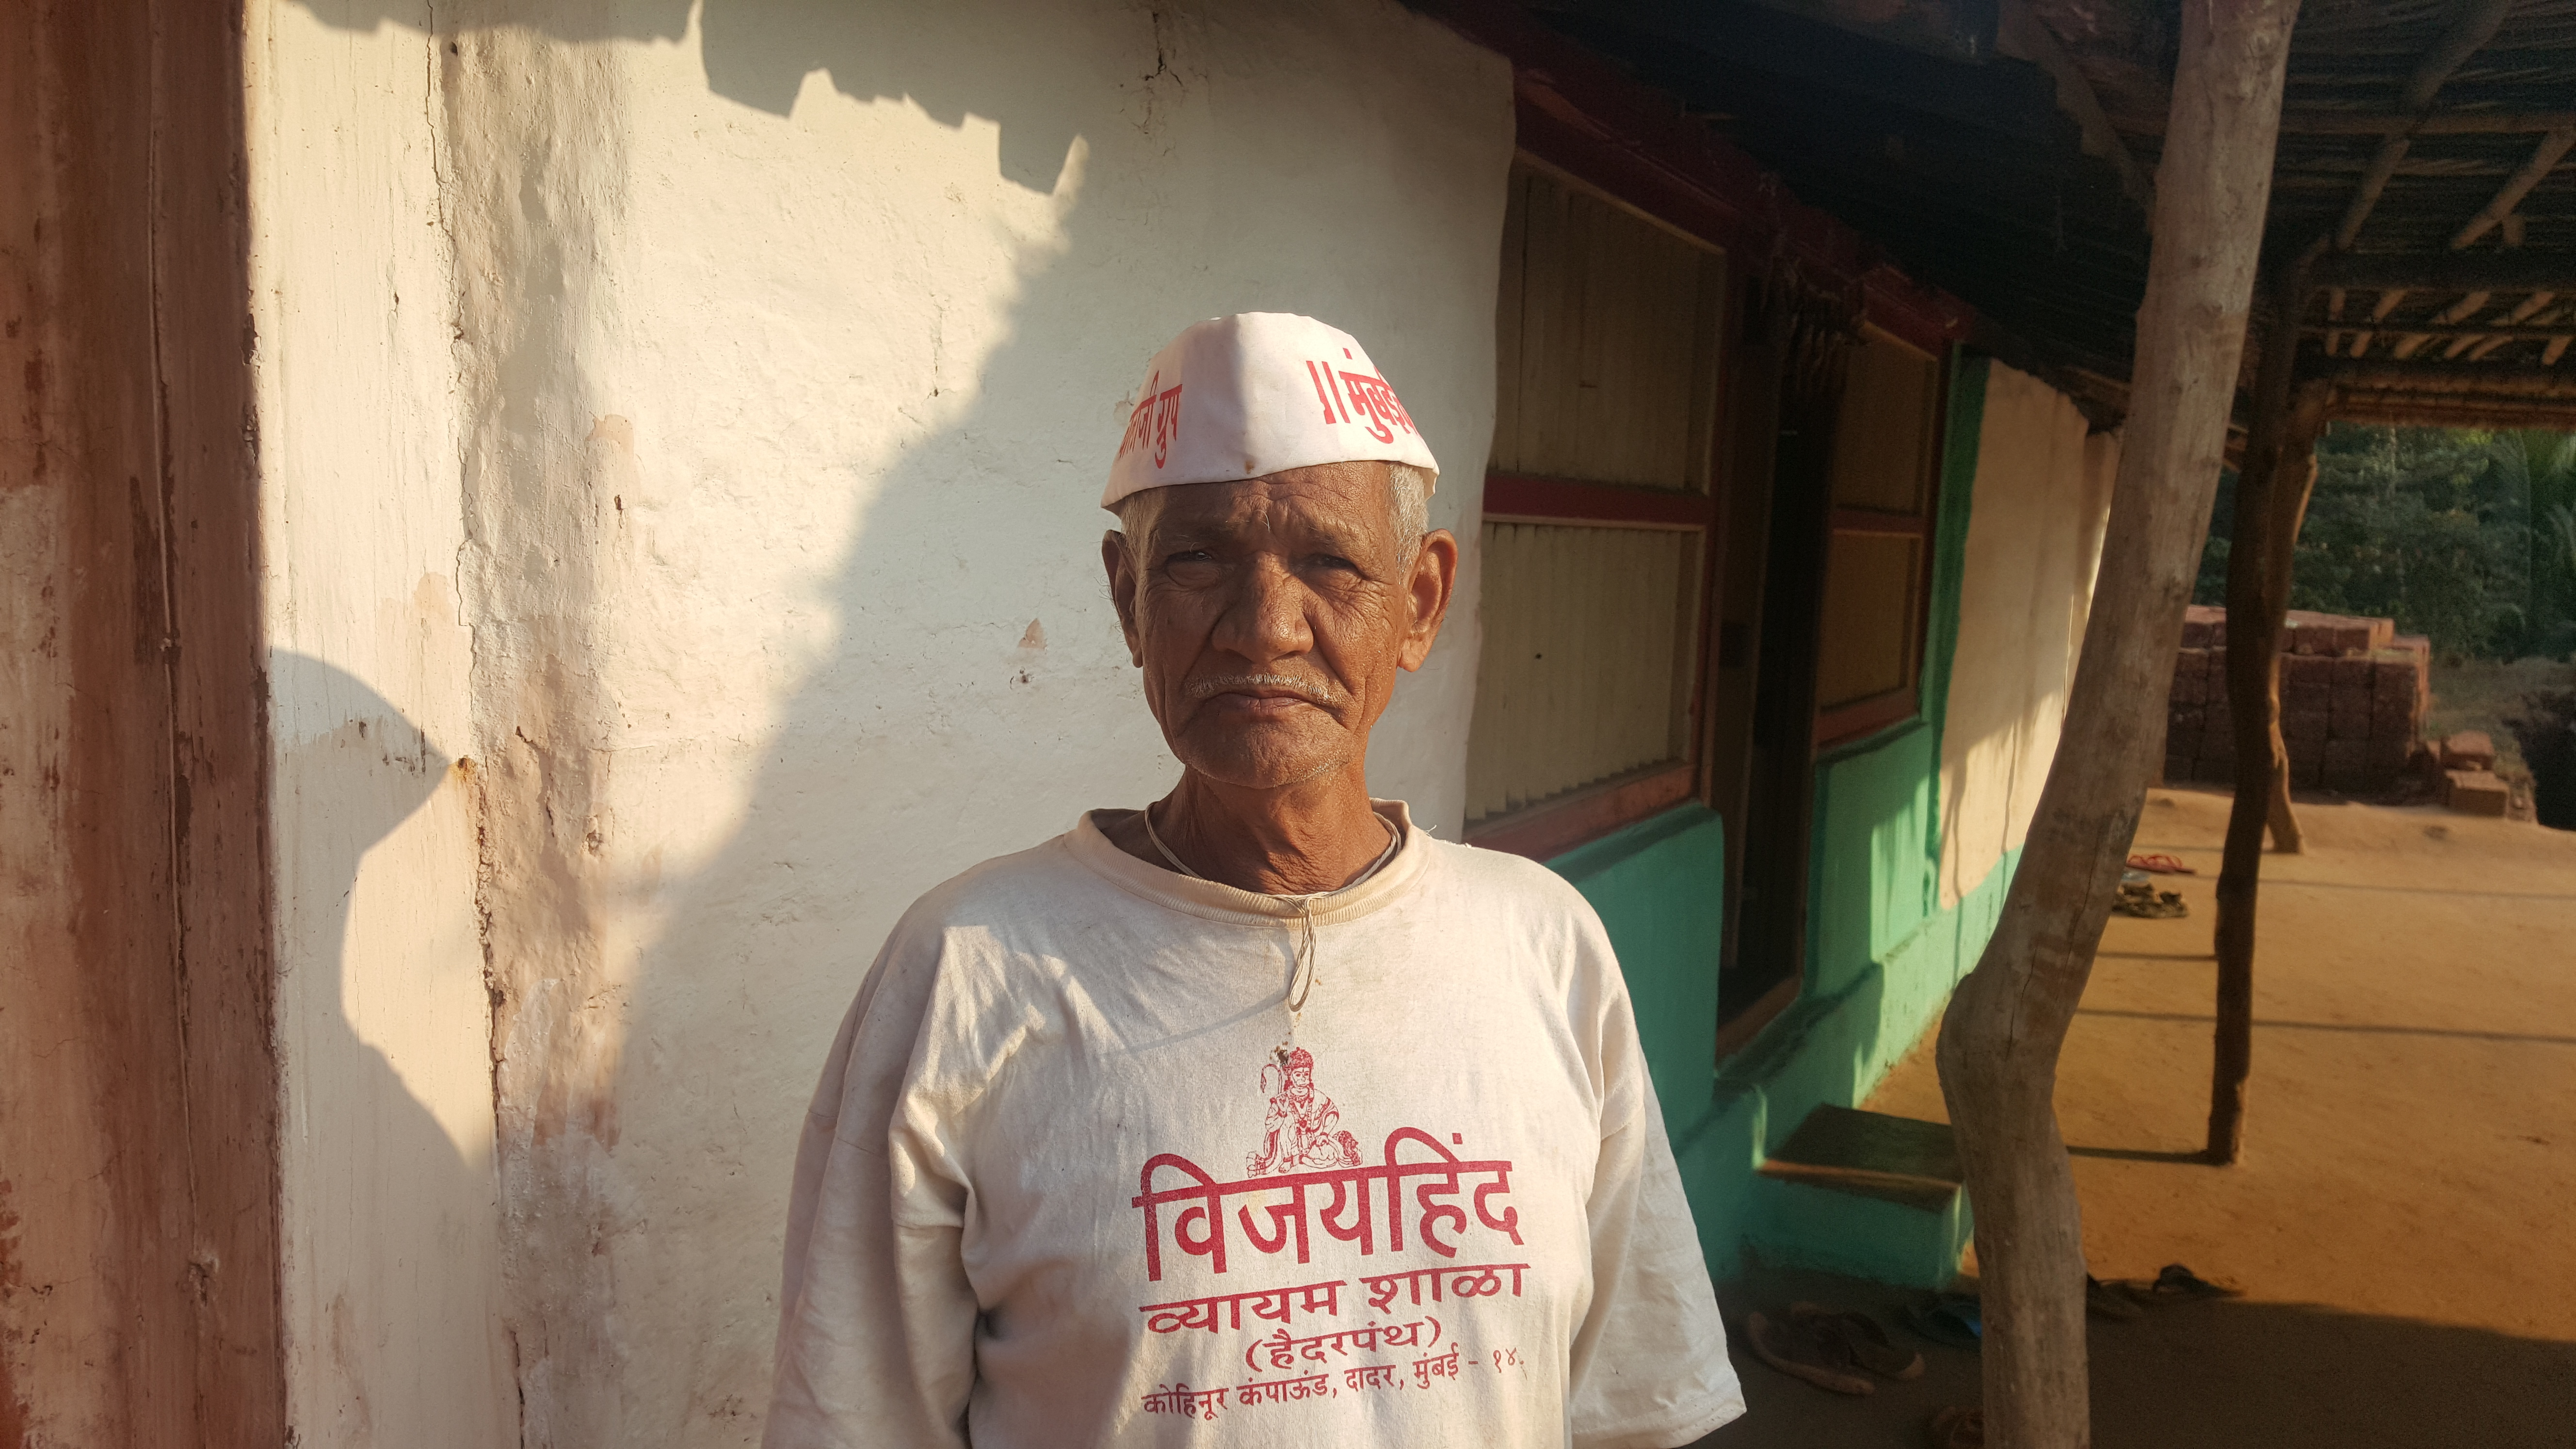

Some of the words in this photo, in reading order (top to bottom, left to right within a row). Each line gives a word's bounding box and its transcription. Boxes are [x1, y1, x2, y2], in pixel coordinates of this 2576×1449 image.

[1323, 337, 1415, 448] मुंबई
[1126, 1119, 1530, 1285] विजयहिंद
[1139, 1271, 1352, 1338] व्यायम
[1357, 1257, 1532, 1322] शाळा
[1133, 1376, 1235, 1427] कोहिनूर
[1232, 1361, 1336, 1409] कंपाऊंड
[1251, 1314, 1433, 1373] हैदरपंथ
[1339, 1358, 1402, 1392] दादर
[1404, 1339, 1466, 1388] मुंबई
[1485, 1341, 1523, 1377] १४